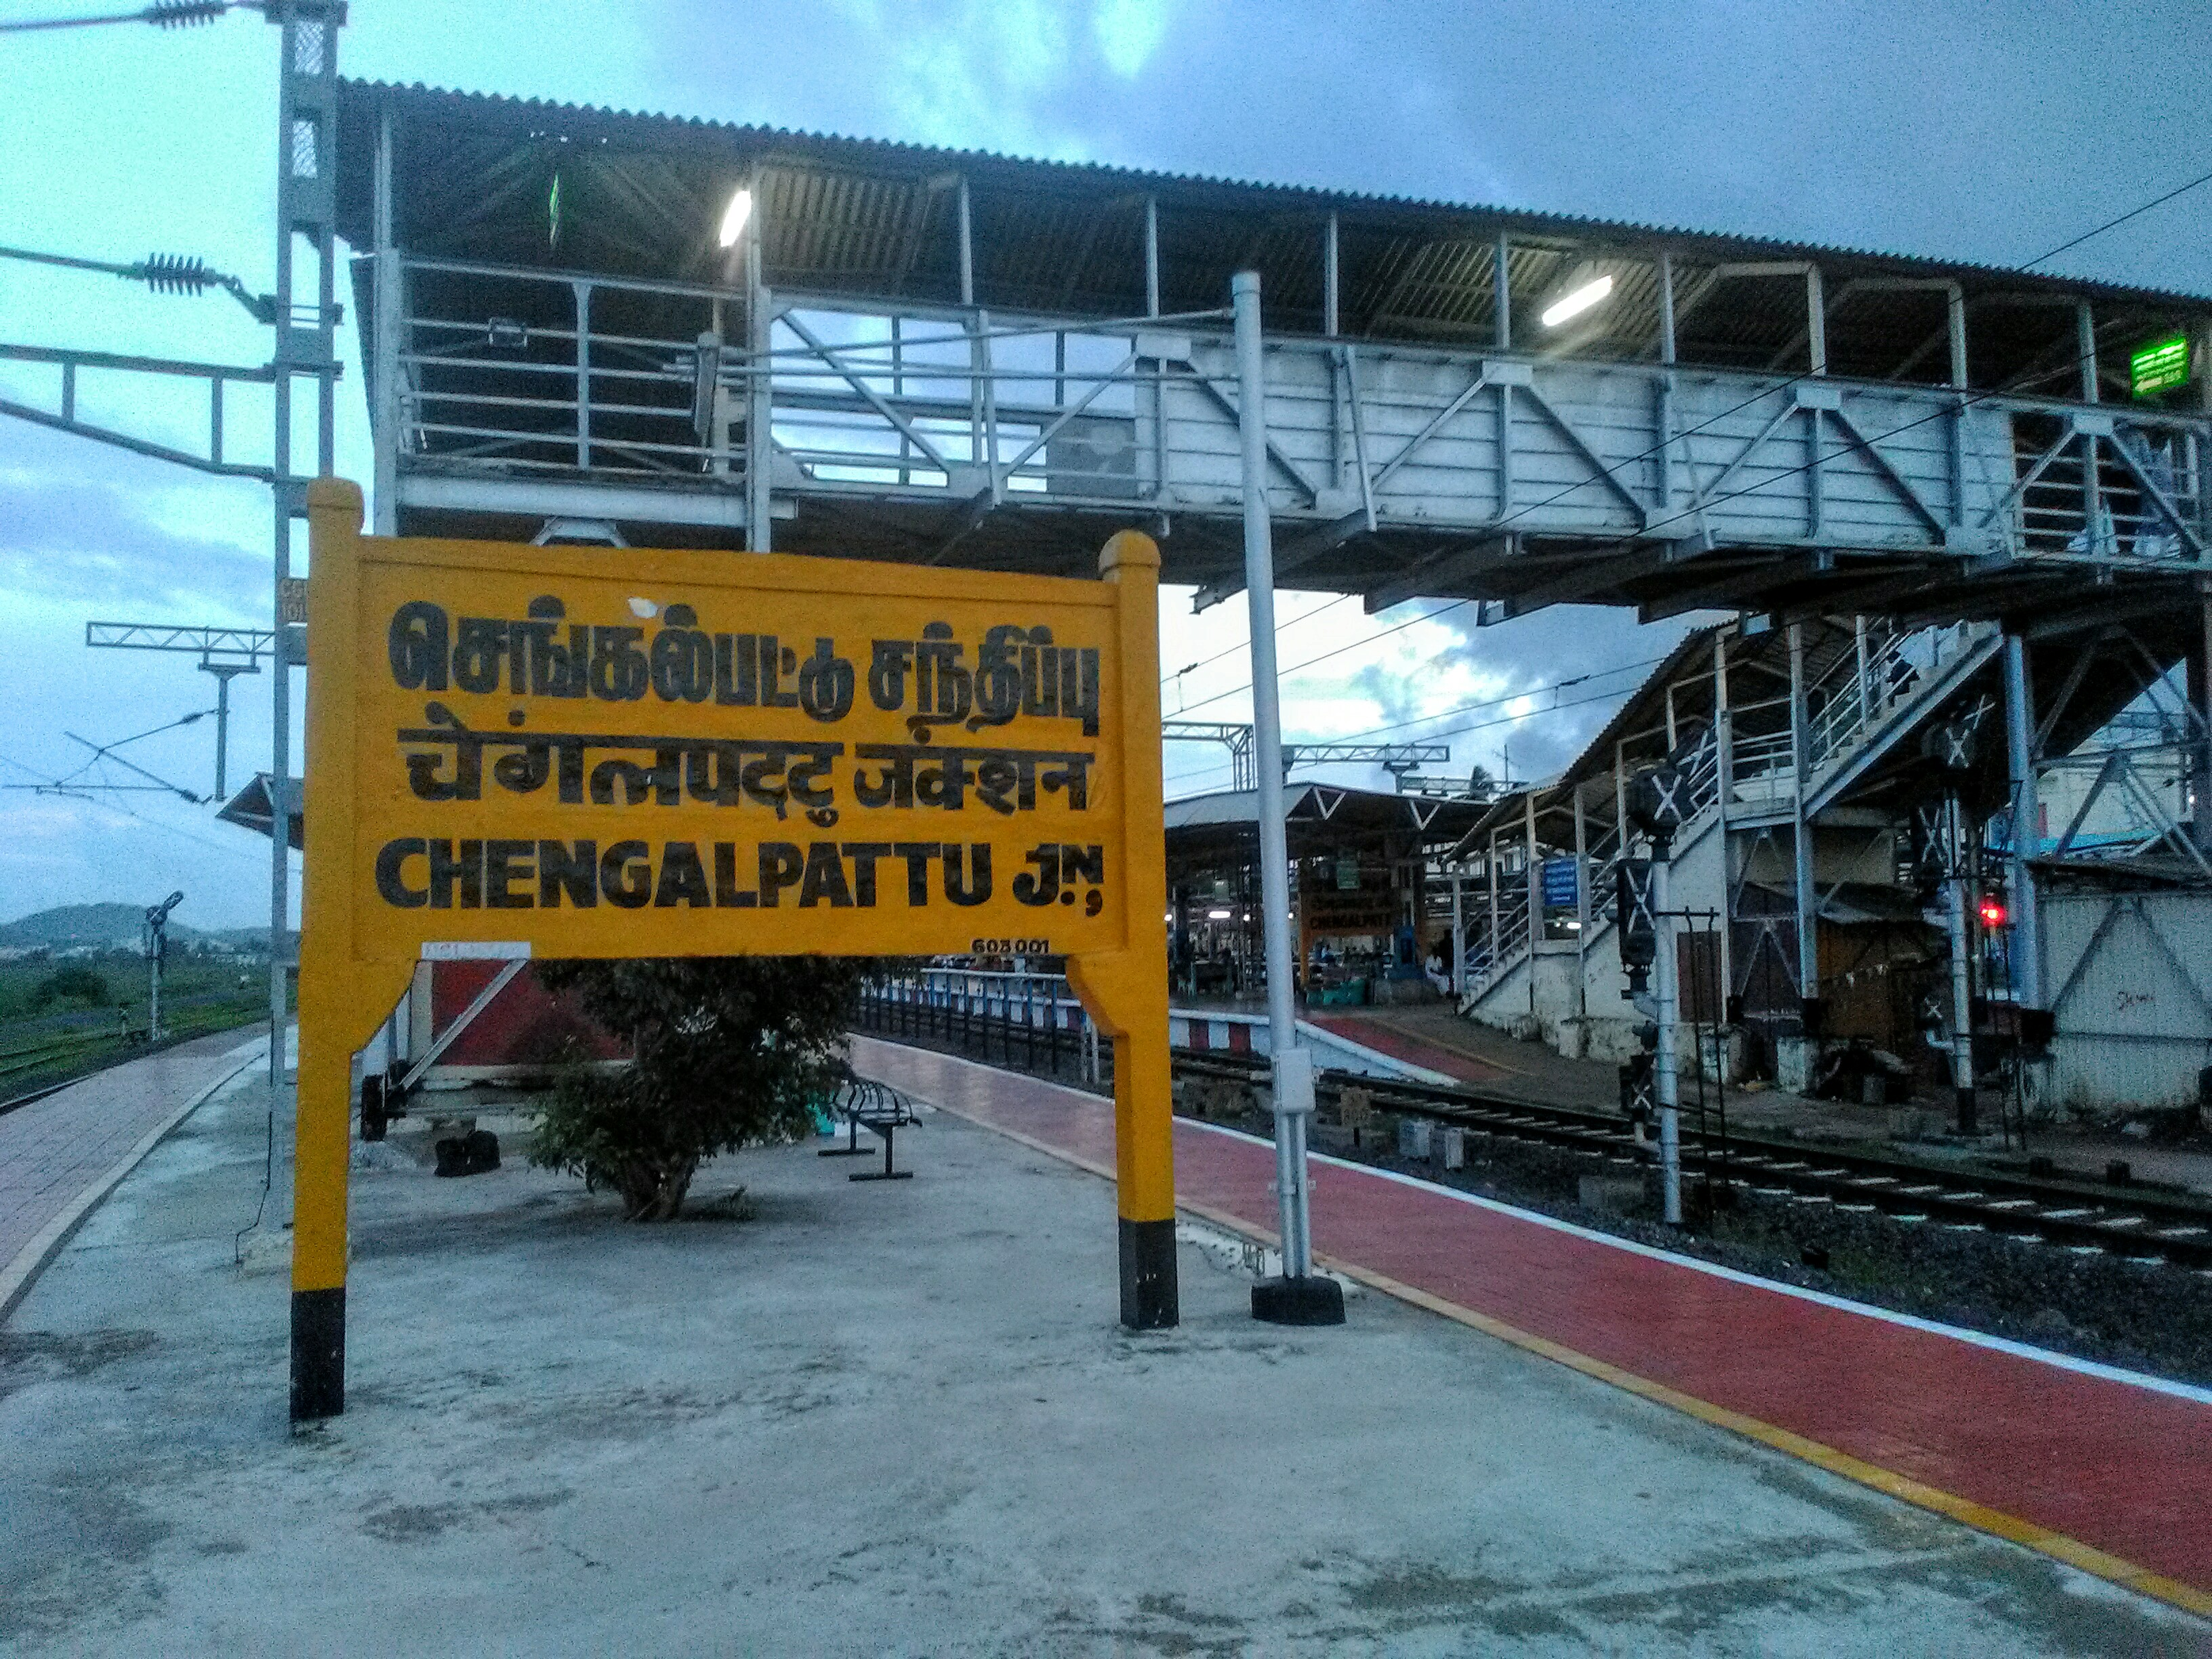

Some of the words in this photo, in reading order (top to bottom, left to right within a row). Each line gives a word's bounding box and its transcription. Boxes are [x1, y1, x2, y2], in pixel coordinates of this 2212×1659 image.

[384, 588, 862, 724] செங்கல்பட்டு
[868, 613, 1102, 739] சந்திப்பு
[394, 687, 850, 829] चेंगलपट्टु
[851, 724, 1096, 821] जंक्शन
[368, 824, 999, 911] CHENGALPATTU
[1005, 832, 1111, 920] JN
[967, 931, 1054, 960] 603001